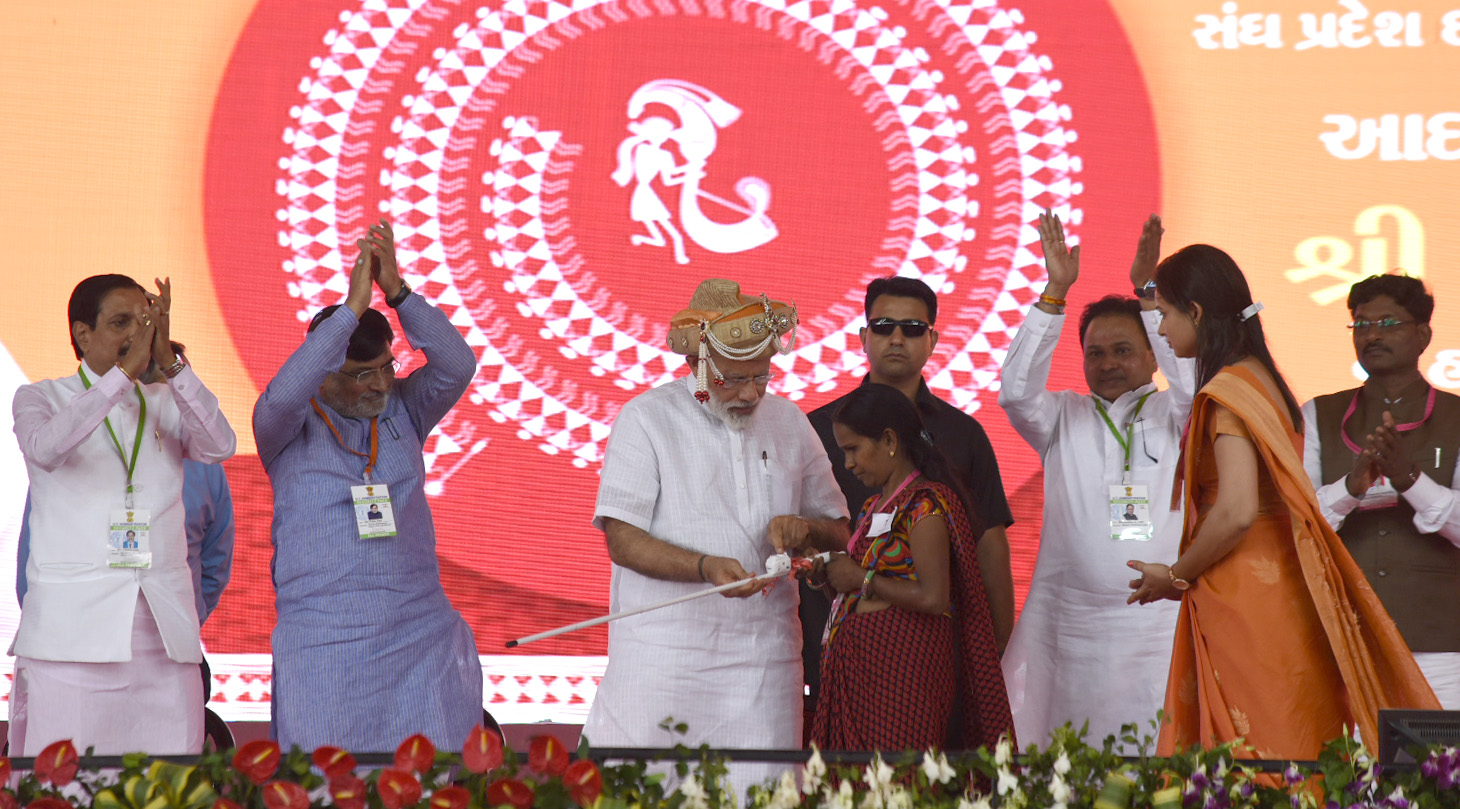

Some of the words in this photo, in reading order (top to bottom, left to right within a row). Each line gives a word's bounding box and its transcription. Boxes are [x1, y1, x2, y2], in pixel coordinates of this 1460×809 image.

[1186, 0, 1285, 57] સંઘ
[1286, 0, 1434, 62] પ્રદેશ
[1310, 102, 1460, 172] આદ
[1276, 195, 1434, 313] શ્રી